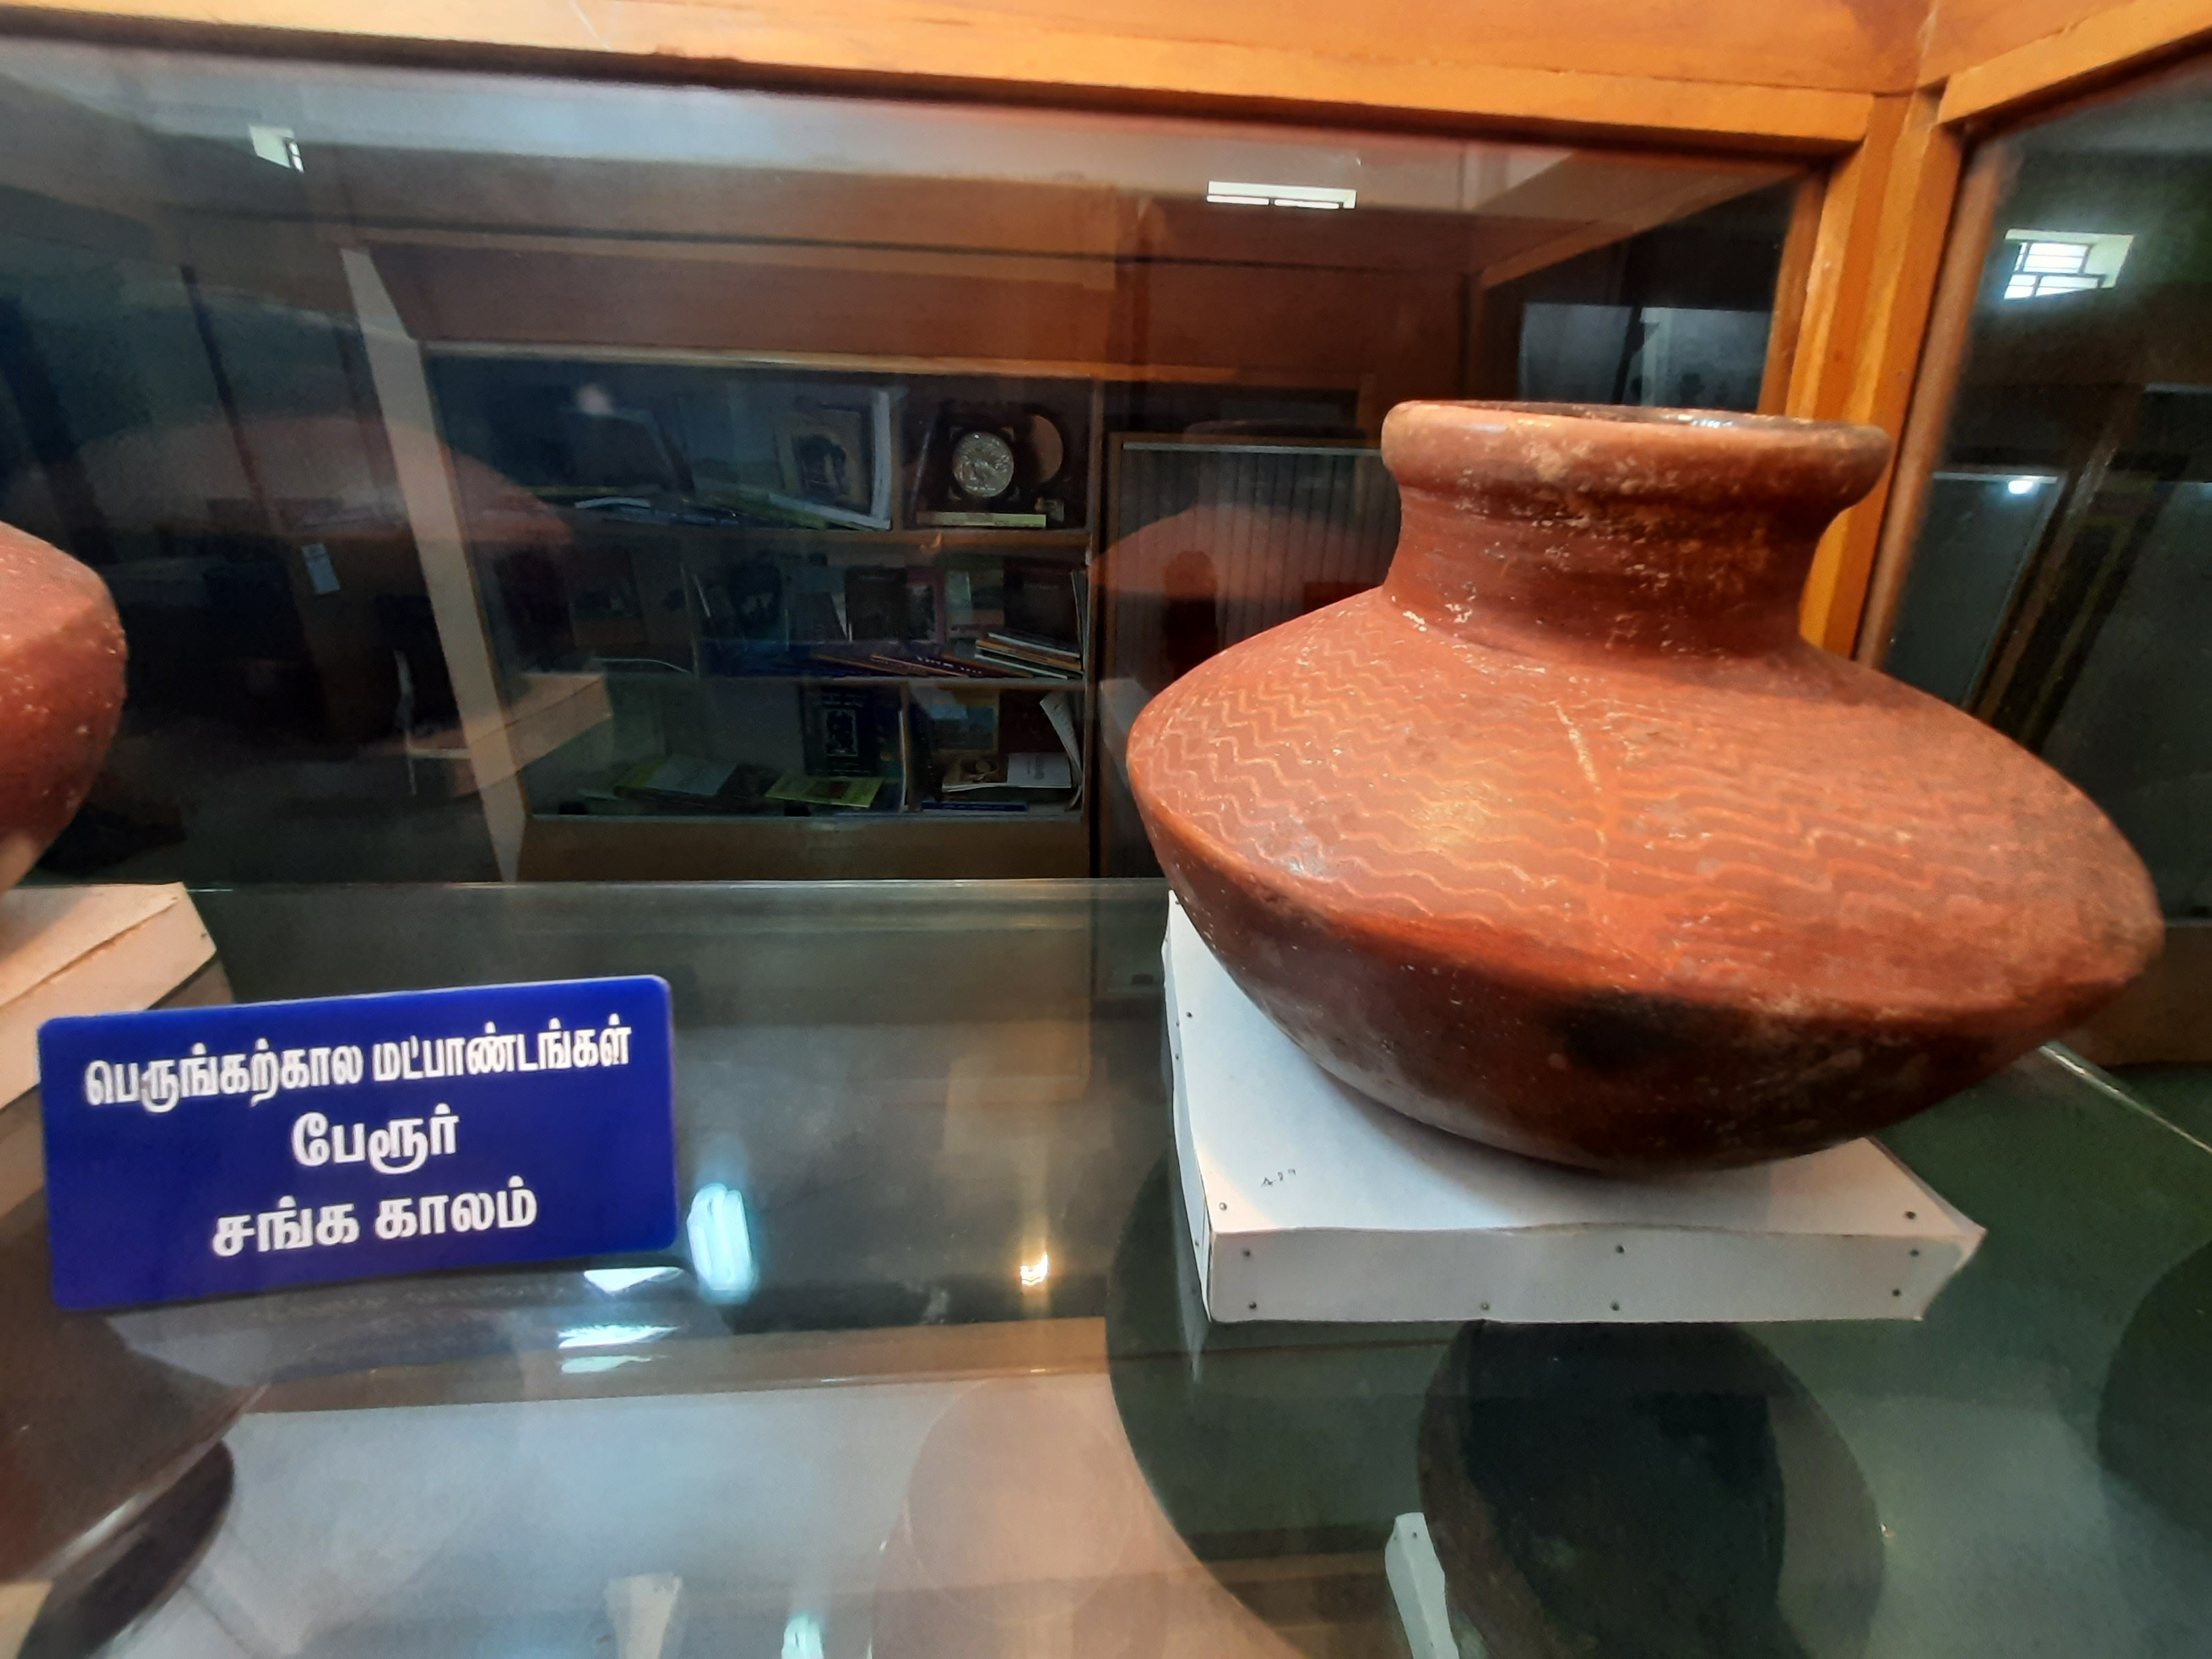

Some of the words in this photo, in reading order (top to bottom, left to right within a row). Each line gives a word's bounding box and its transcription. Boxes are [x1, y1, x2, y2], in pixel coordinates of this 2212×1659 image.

[77, 1036, 365, 1119] பெருங்கற்கால
[369, 1009, 634, 1086] மட்பாண்டங்கள்
[285, 1094, 464, 1179] பேரூா்
[211, 1189, 364, 1263] சங்க
[373, 1169, 542, 1248] காலம்